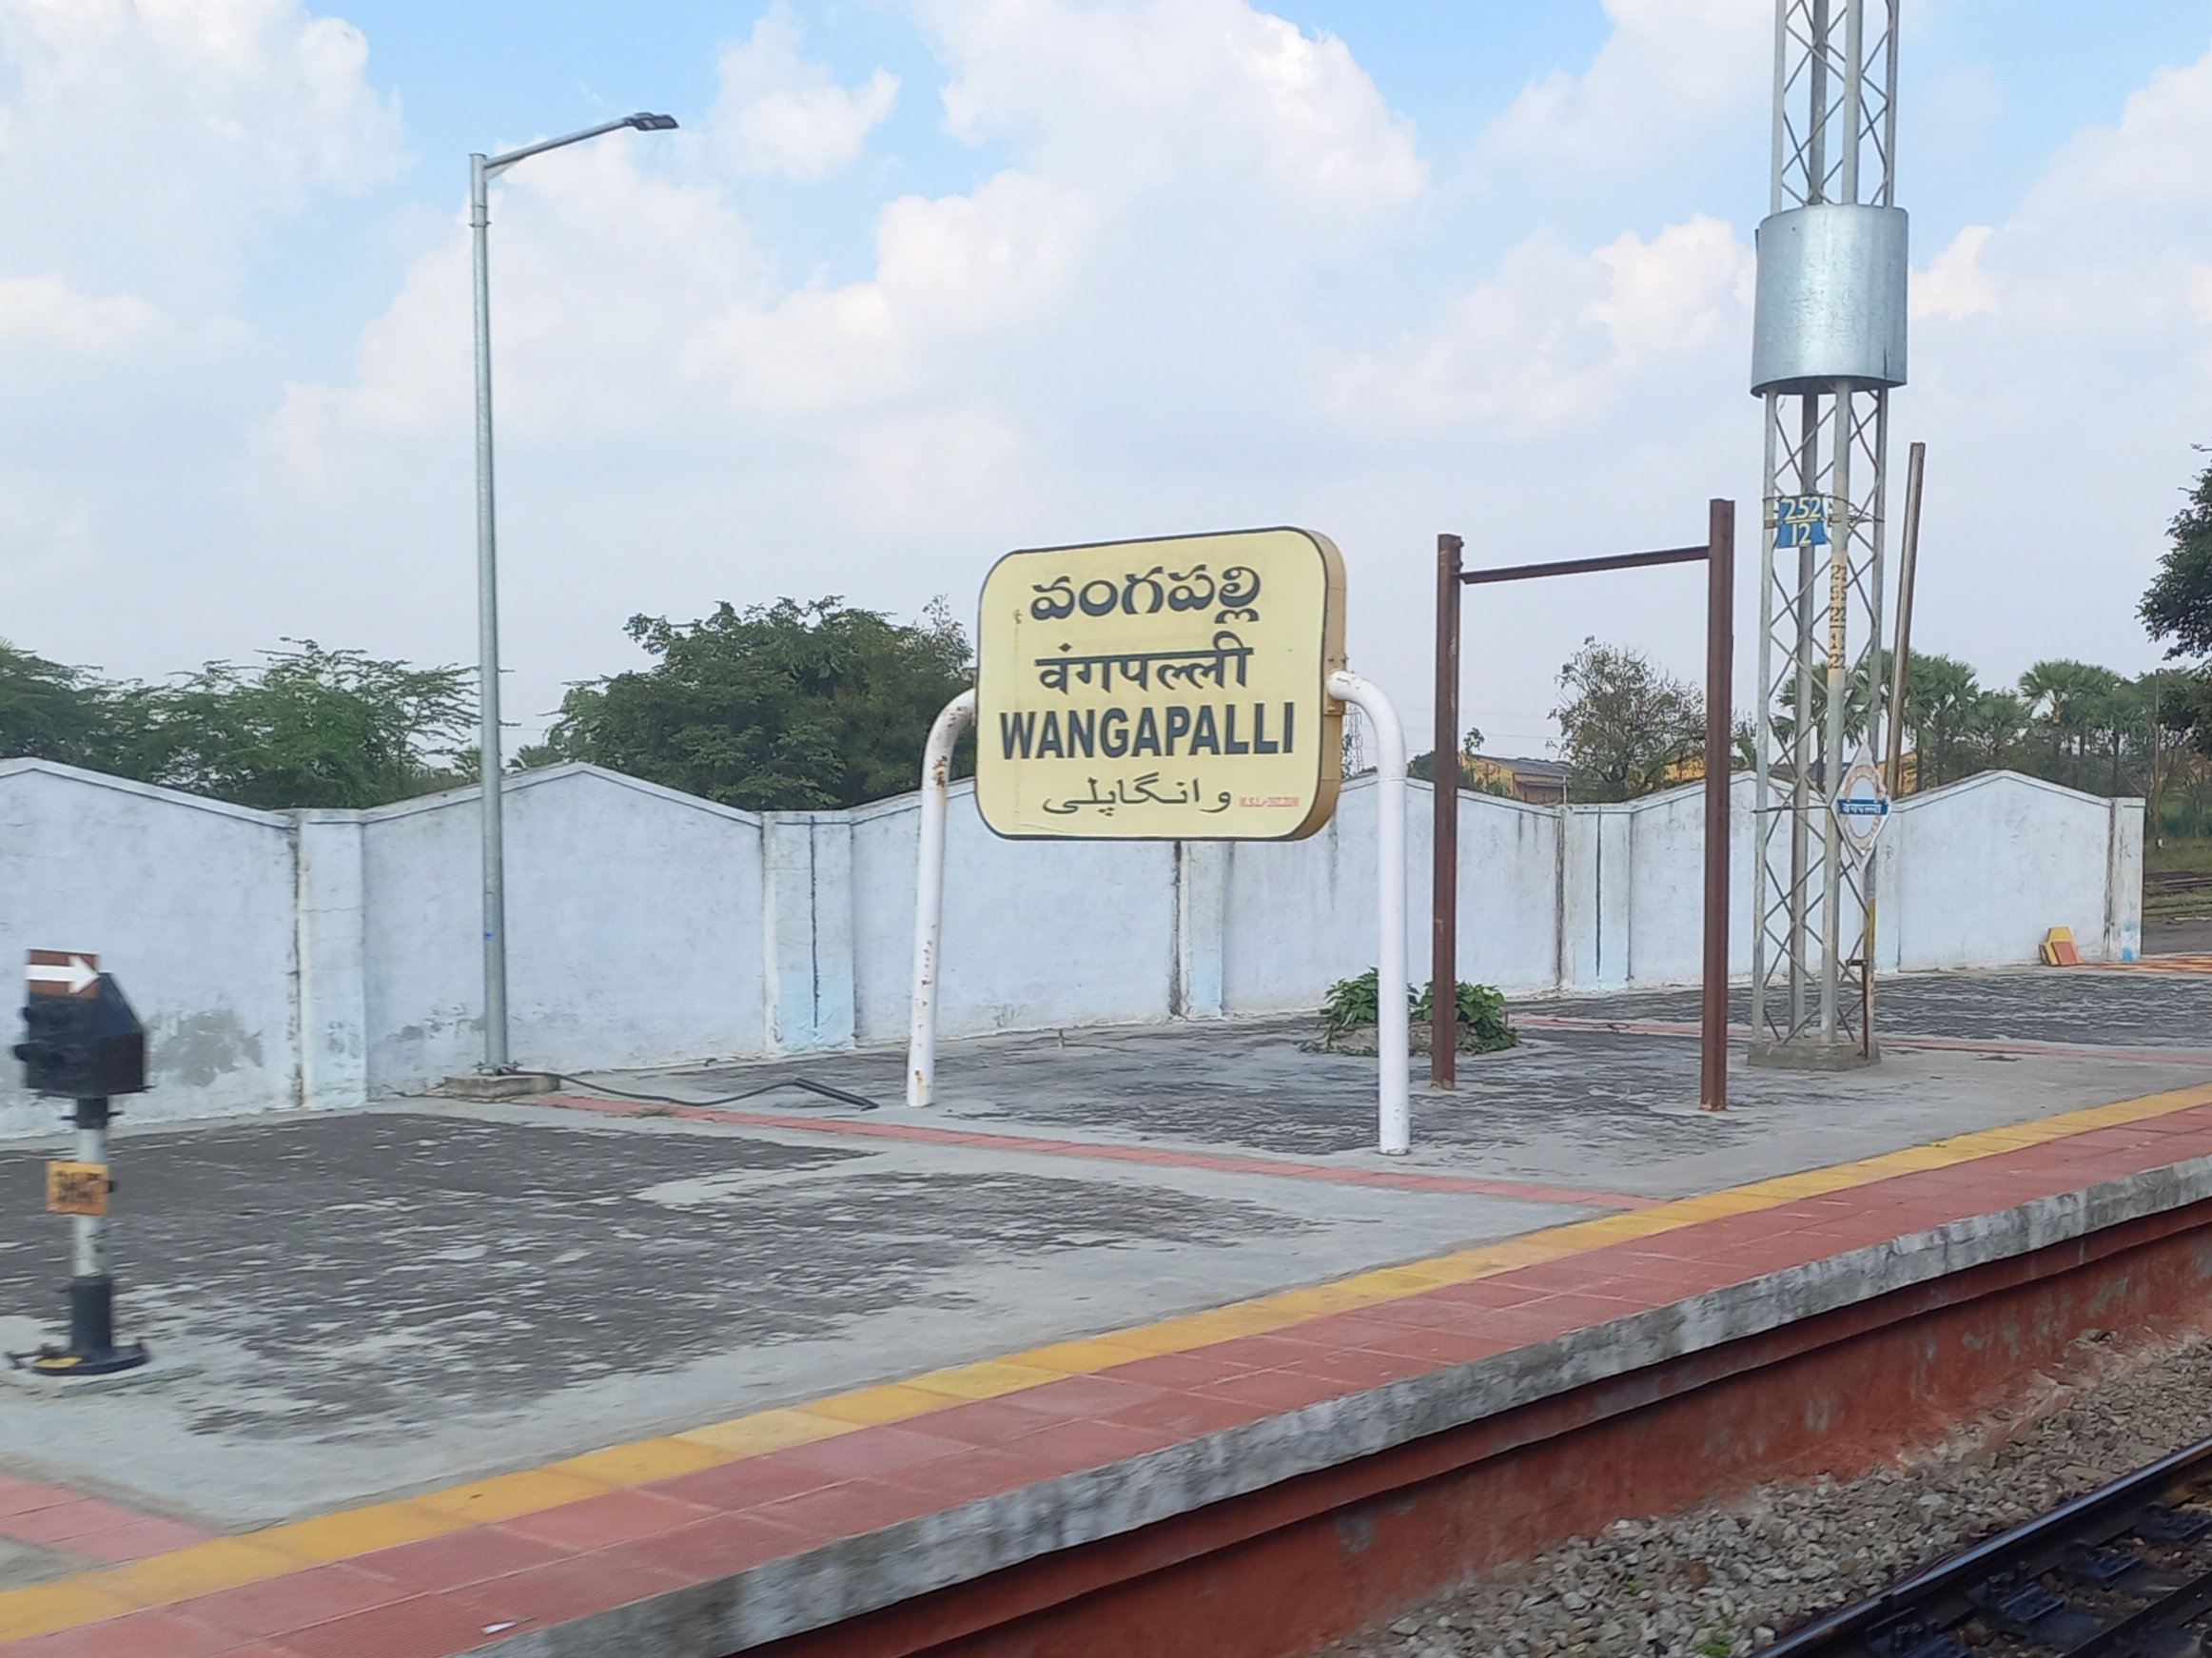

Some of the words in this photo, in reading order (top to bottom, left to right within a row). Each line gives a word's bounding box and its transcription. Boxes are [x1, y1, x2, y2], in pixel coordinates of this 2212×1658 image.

[1027, 558, 1266, 627] వంగపల్లి
[1028, 626, 1257, 698] वंगपल्ली
[998, 699, 1298, 764] WANGAPALLI
[1040, 770, 1238, 822] وانگاپلی